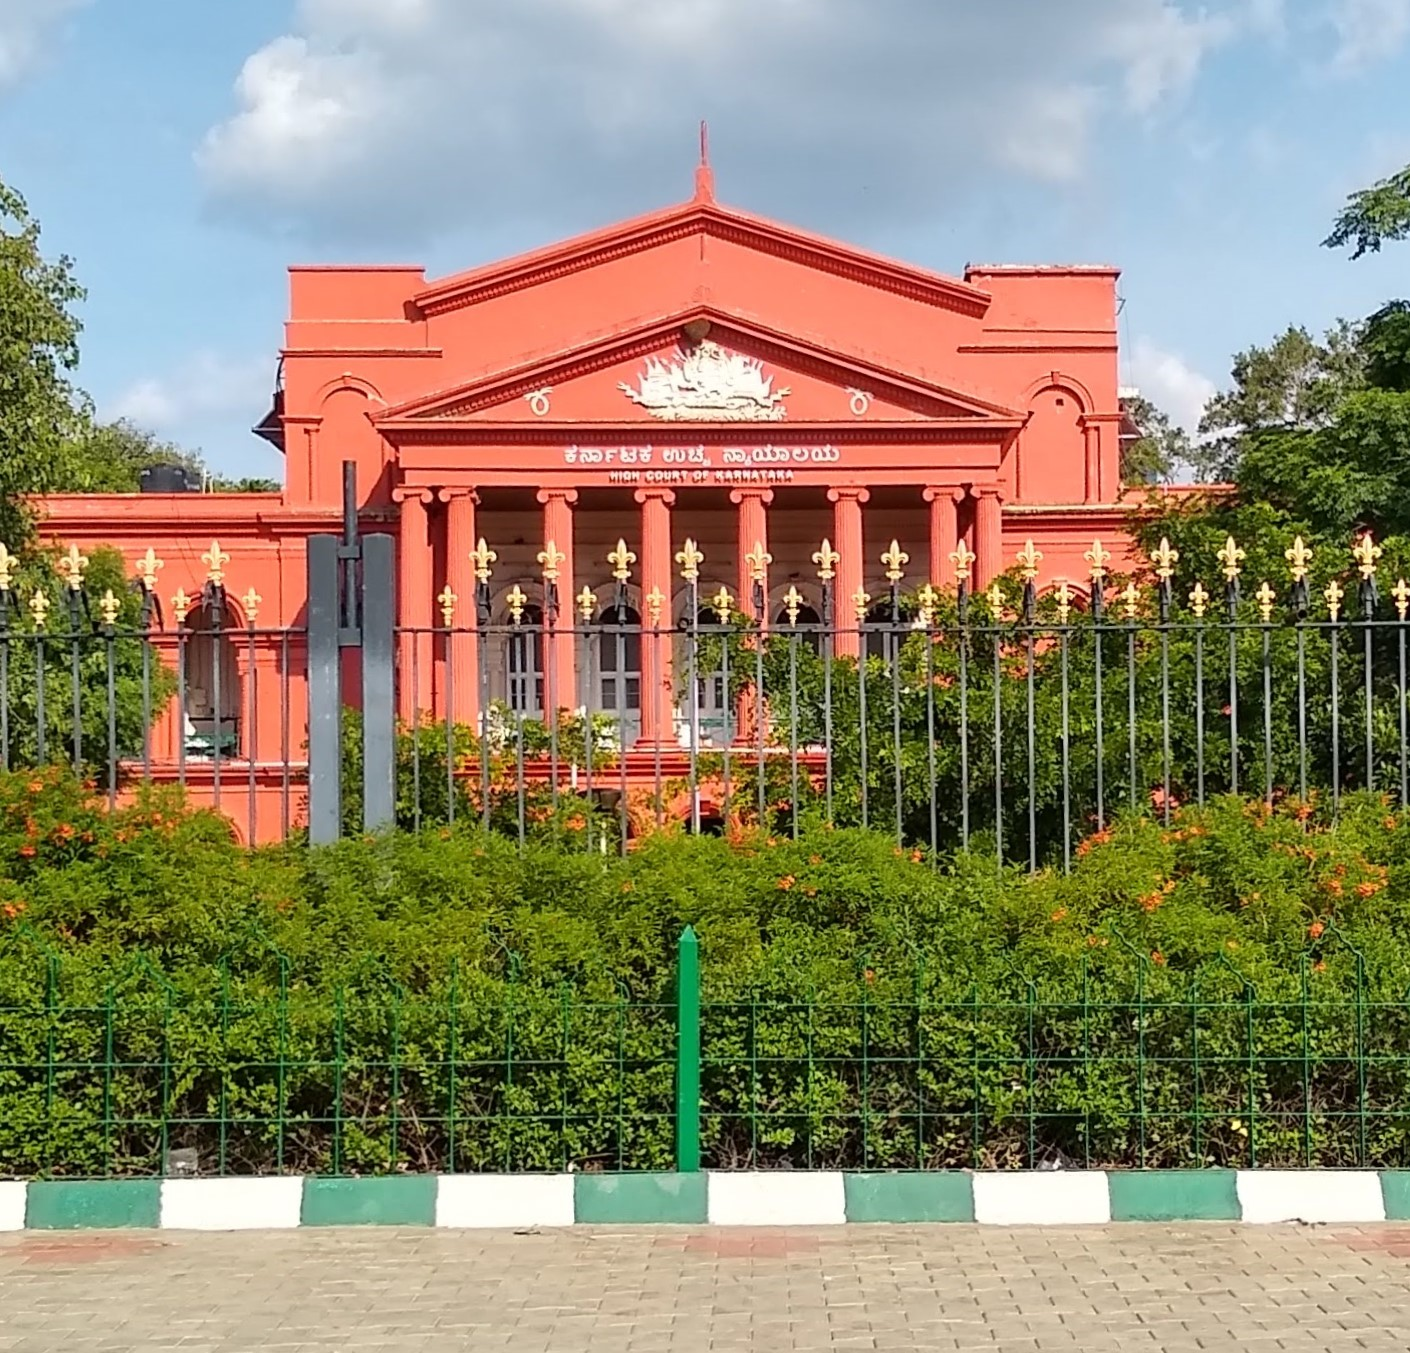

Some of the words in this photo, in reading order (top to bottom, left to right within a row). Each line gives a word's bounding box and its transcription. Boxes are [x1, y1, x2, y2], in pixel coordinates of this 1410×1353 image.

[558, 437, 656, 469] ಕರ್ನಾಟಕ
[660, 439, 719, 471] ಉಚ್ಚ
[719, 439, 847, 471] ನ್ಯಾಯಾಲಯ
[607, 465, 645, 486] HIGH
[643, 465, 690, 487] COURT
[689, 465, 714, 487] OF
[709, 463, 797, 484] KARNATAKA